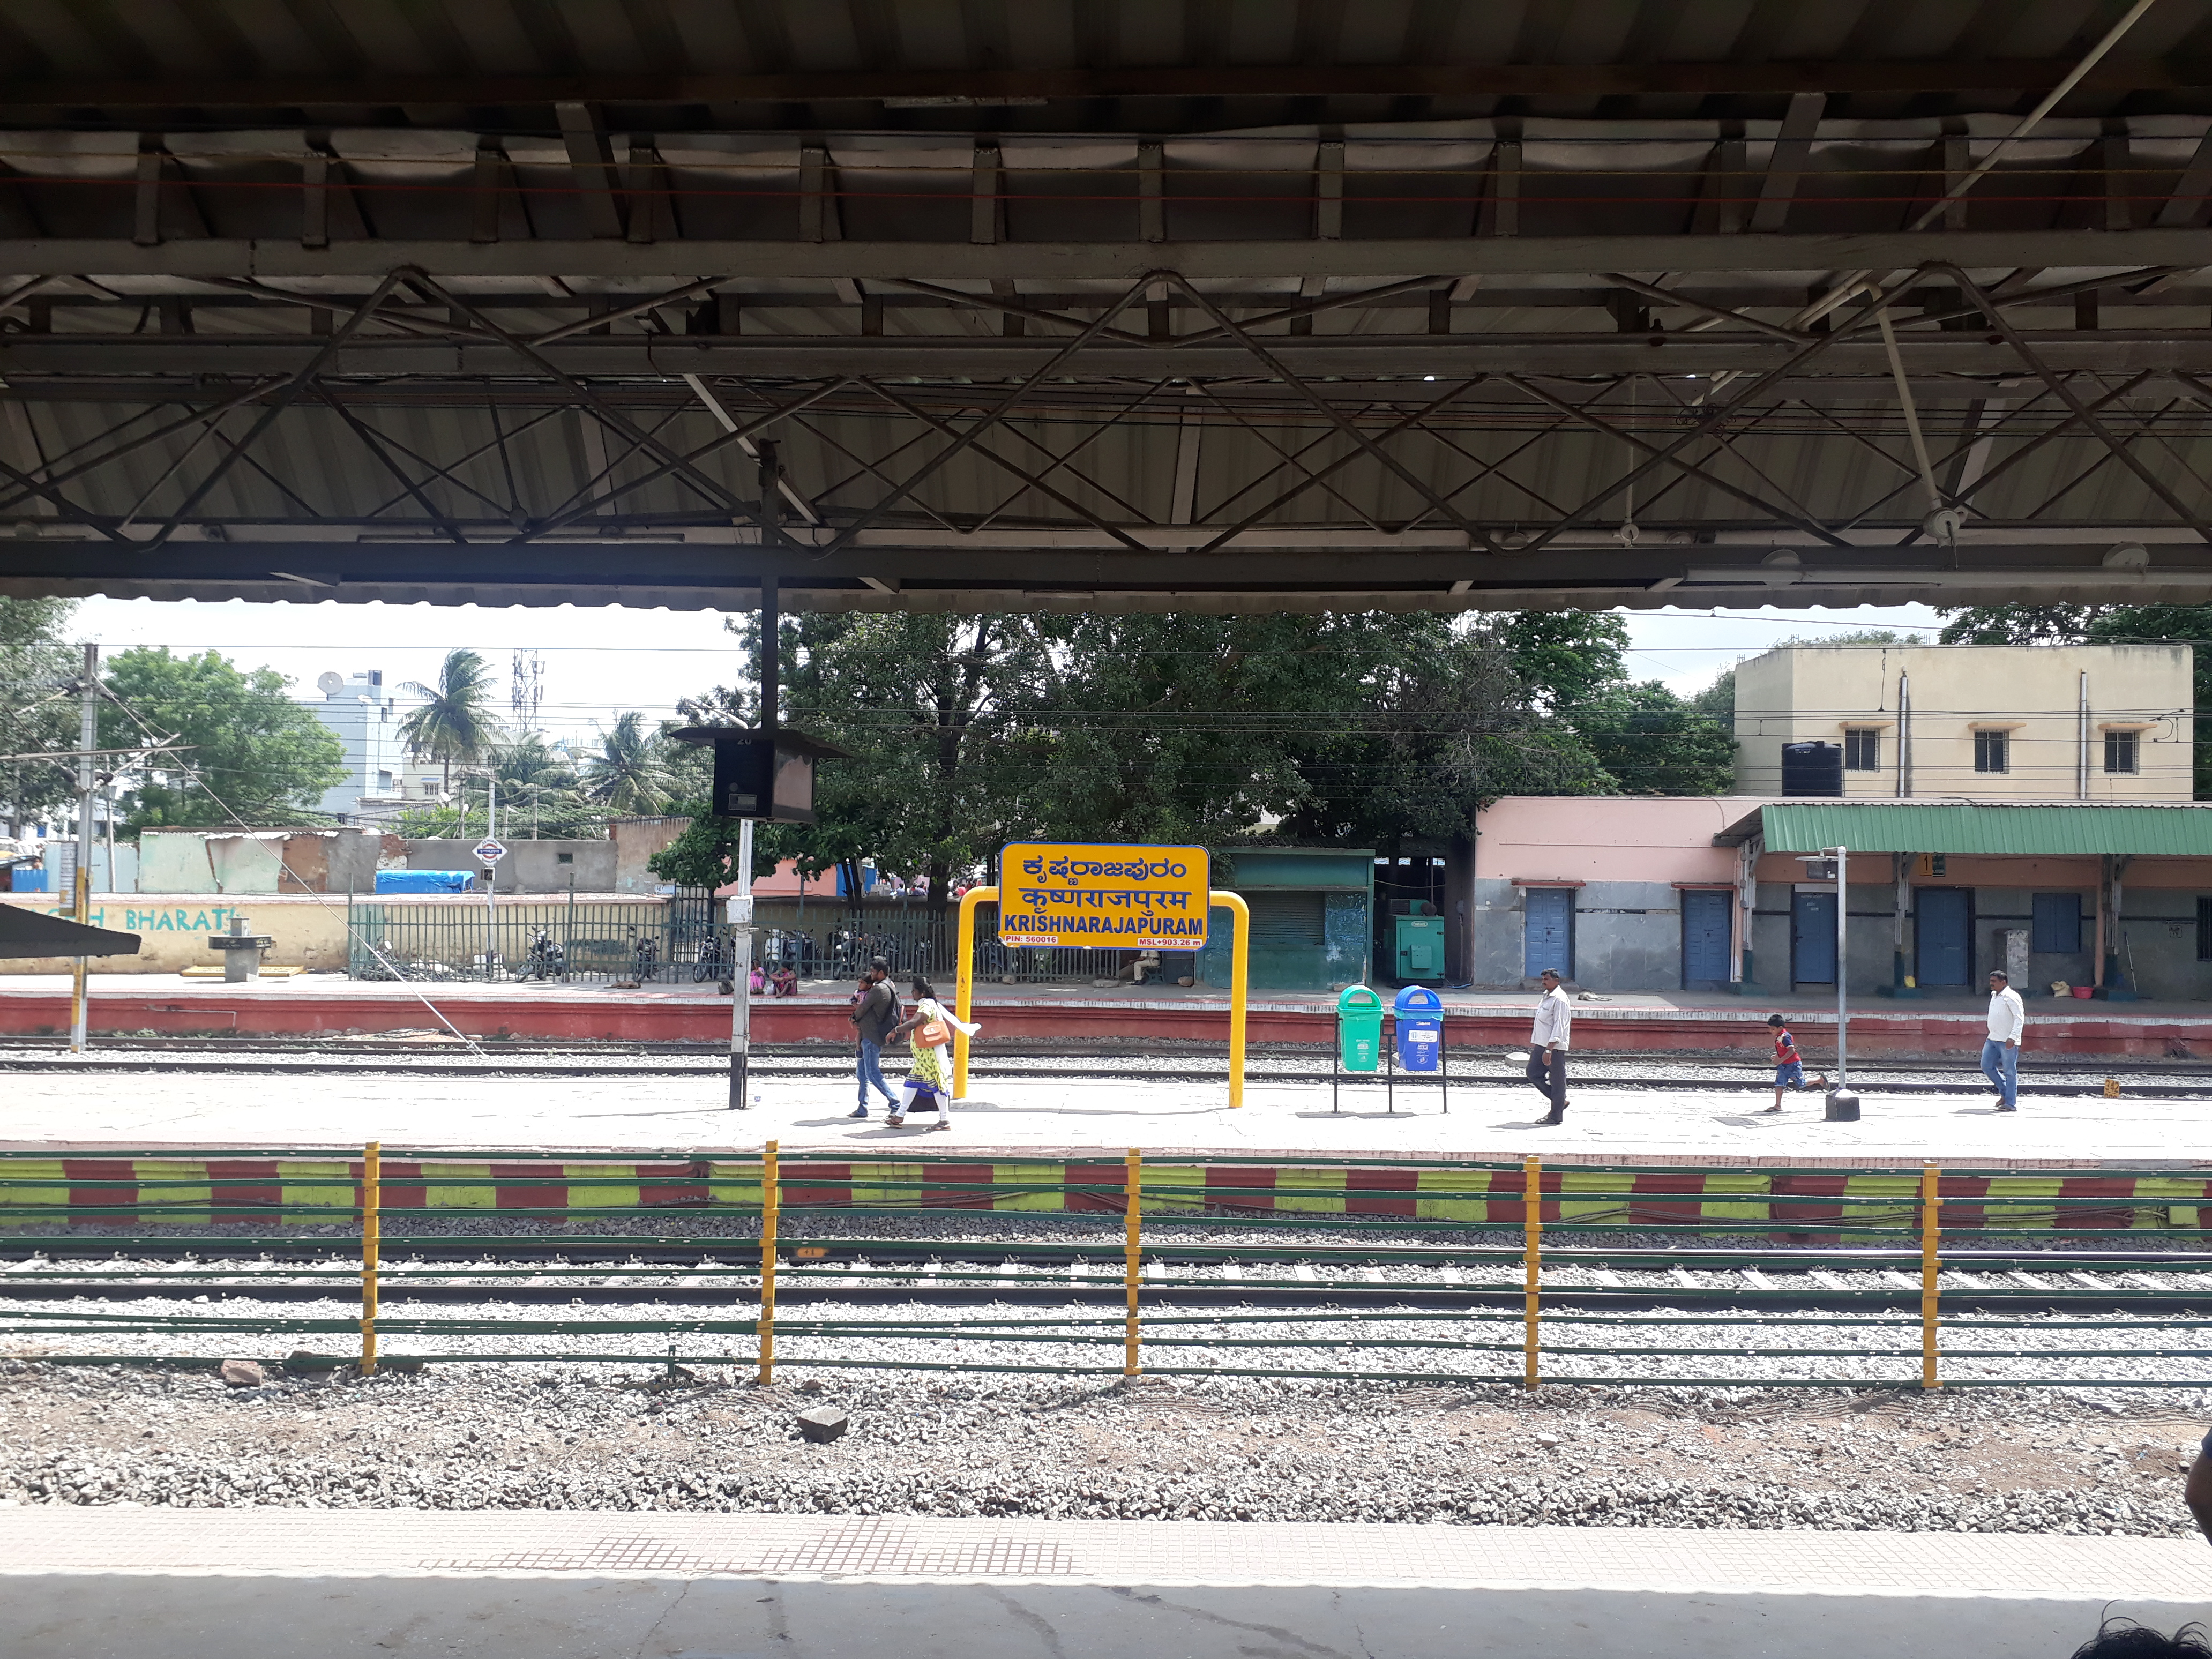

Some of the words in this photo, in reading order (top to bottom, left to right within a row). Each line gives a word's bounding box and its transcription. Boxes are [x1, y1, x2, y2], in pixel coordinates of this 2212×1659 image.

[1020, 851, 1189, 888] ಕೃಷ್ಣರಾಜಪುರಂ
[1015, 886, 1193, 919] कृष्णराजपुरम
[123, 906, 233, 931] BHARAT
[1003, 912, 1205, 936] KRISHNARAJAPURAM
[999, 934, 1058, 945] PIN:560016
[1138, 939, 1202, 949] MSL+903.26m